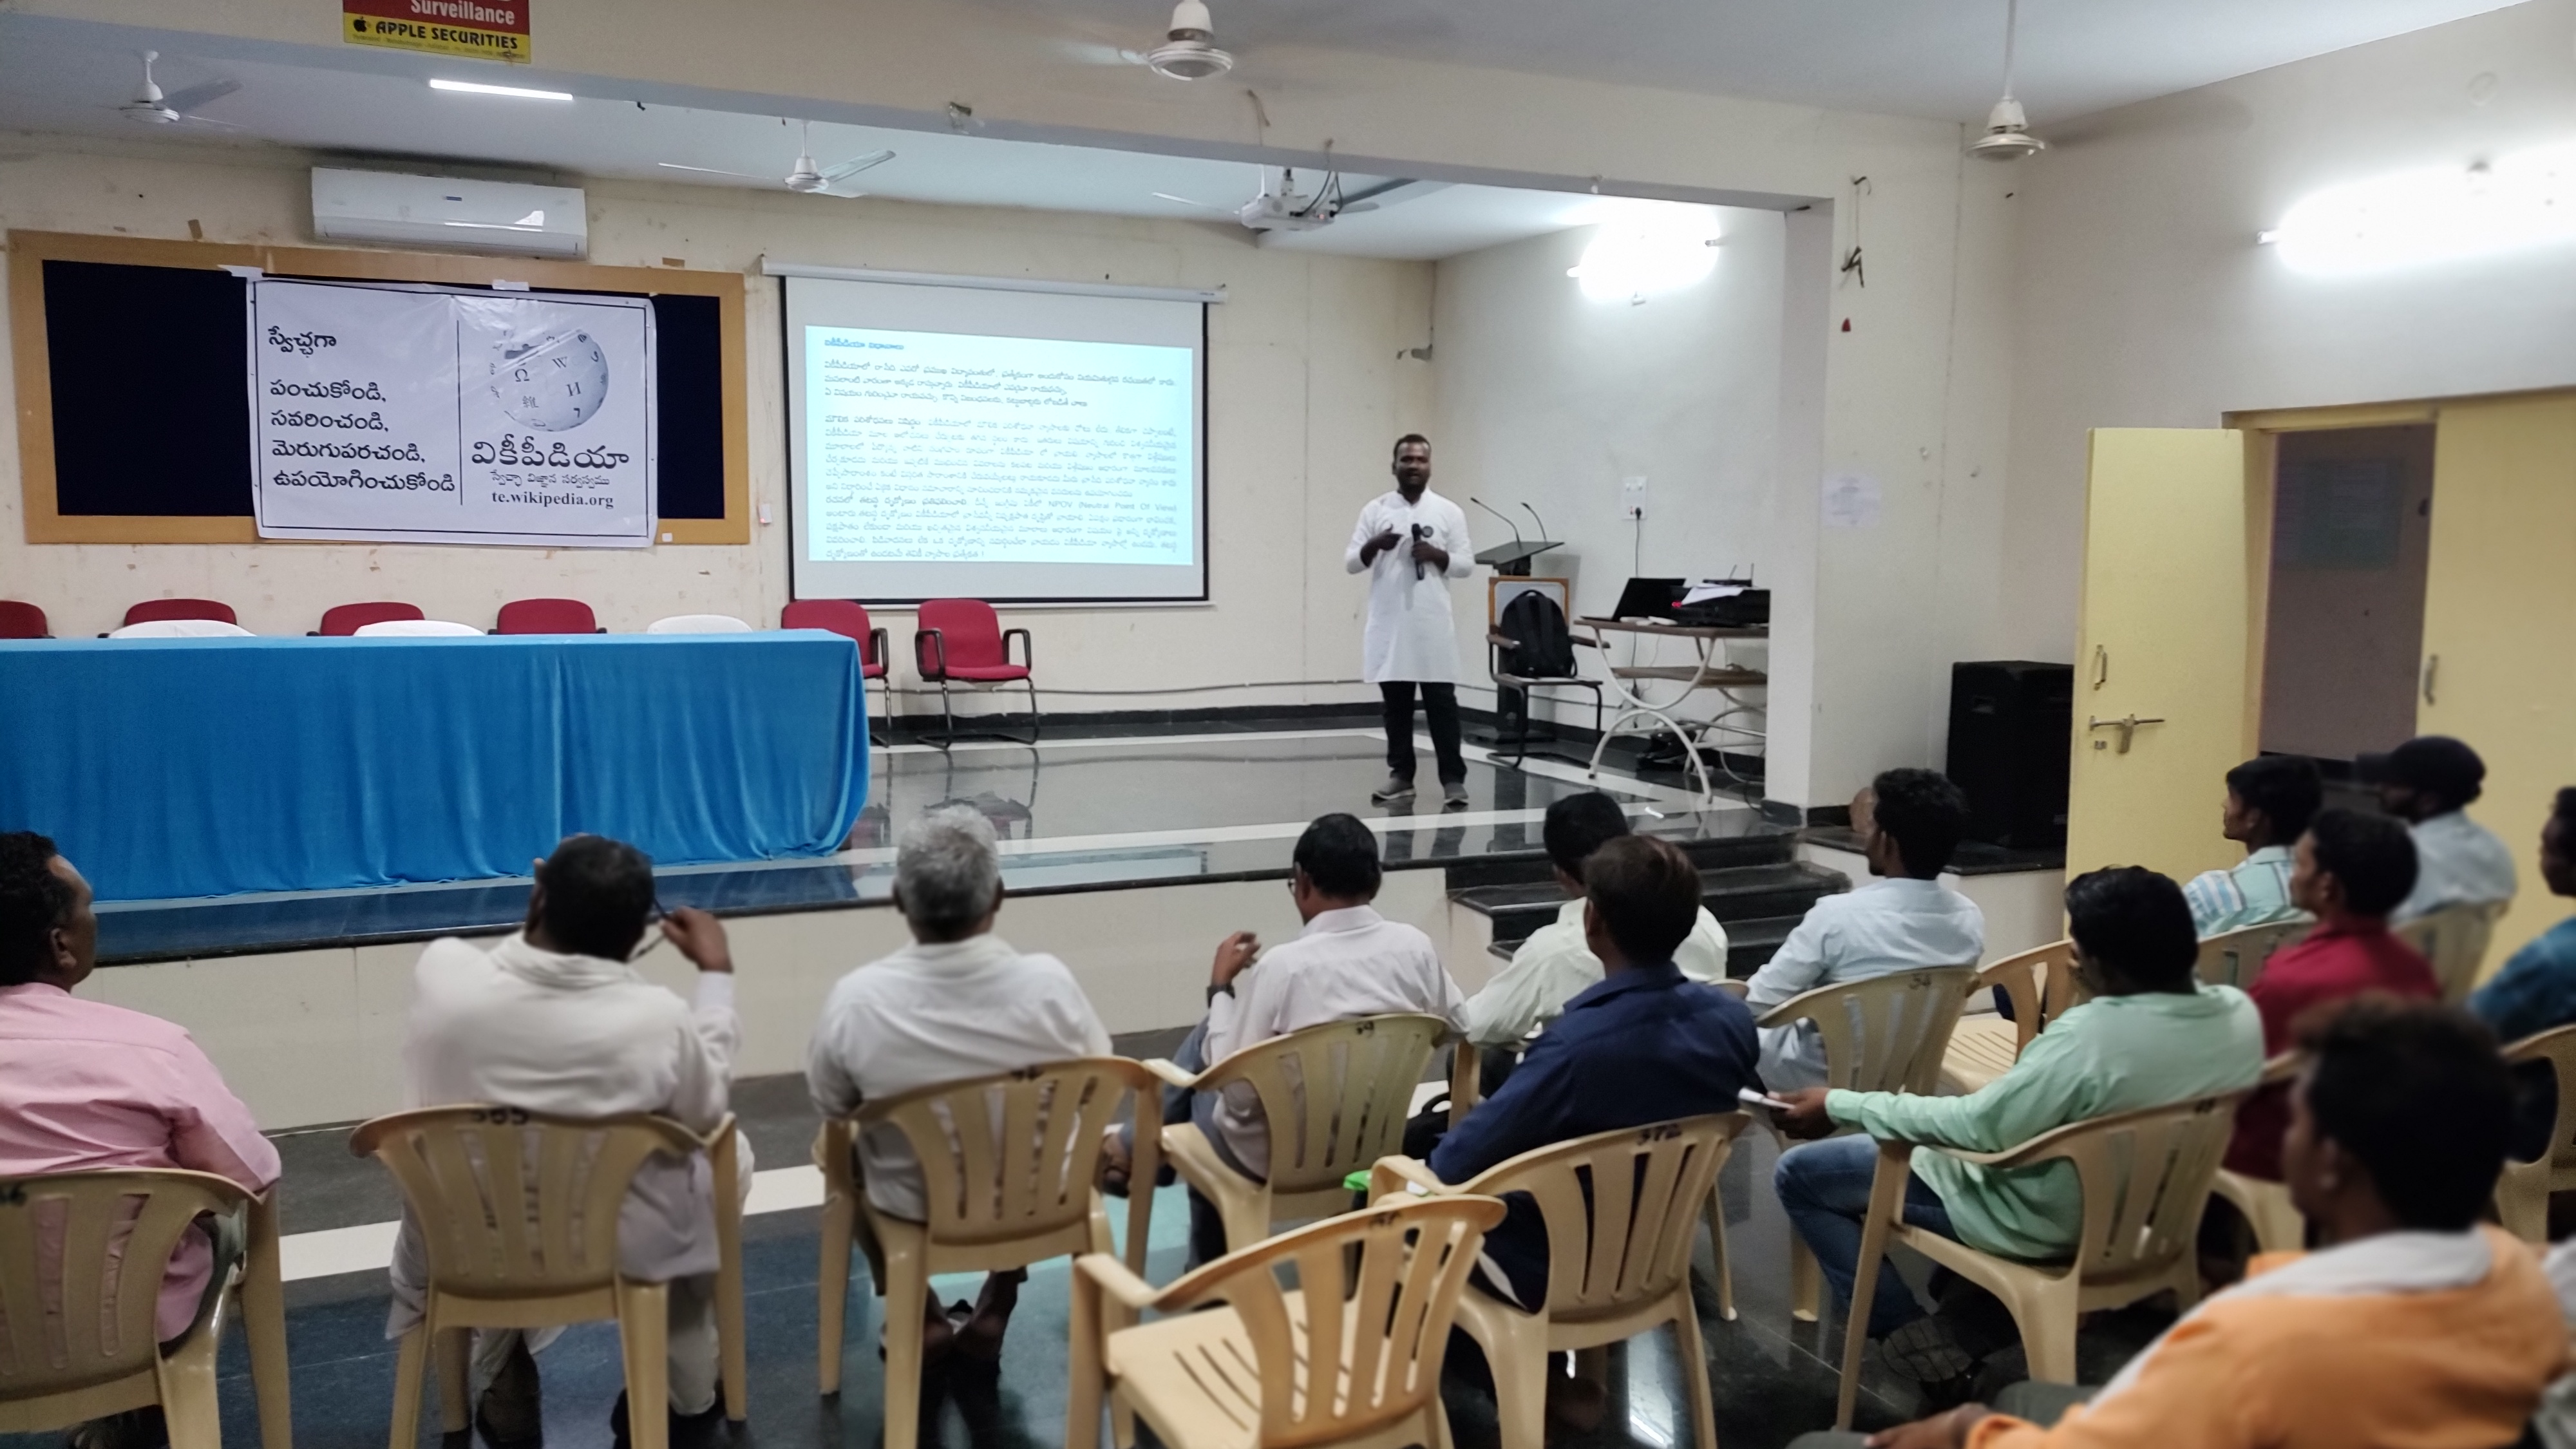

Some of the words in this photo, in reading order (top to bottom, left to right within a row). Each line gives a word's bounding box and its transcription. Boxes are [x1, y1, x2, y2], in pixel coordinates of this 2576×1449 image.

[408, 1, 518, 30] Surveillance
[372, 18, 429, 43] APPLE
[430, 24, 521, 52] SECURITIES
[265, 320, 341, 363] స్వేచ్ఛగా
[896, 362, 922, 377] ఎవరో
[269, 378, 388, 407] పంచుకోండి,
[270, 406, 391, 435] సవరించండి
[849, 413, 896, 428] పరిశోధనలు
[269, 437, 428, 464] మెరుగుపరచండి
[468, 430, 632, 471] వికీపీడియా
[272, 466, 457, 495] ఉపయోగించుకోండి
[487, 467, 524, 489] స్వేచ్ఛా
[526, 469, 558, 490] విజ్ఞాన
[560, 471, 611, 491] సర్వస్వము
[489, 489, 615, 512] te.wikipedia.org
[856, 492, 882, 508] తటస్థ
[1042, 498, 1076, 510] NPOV